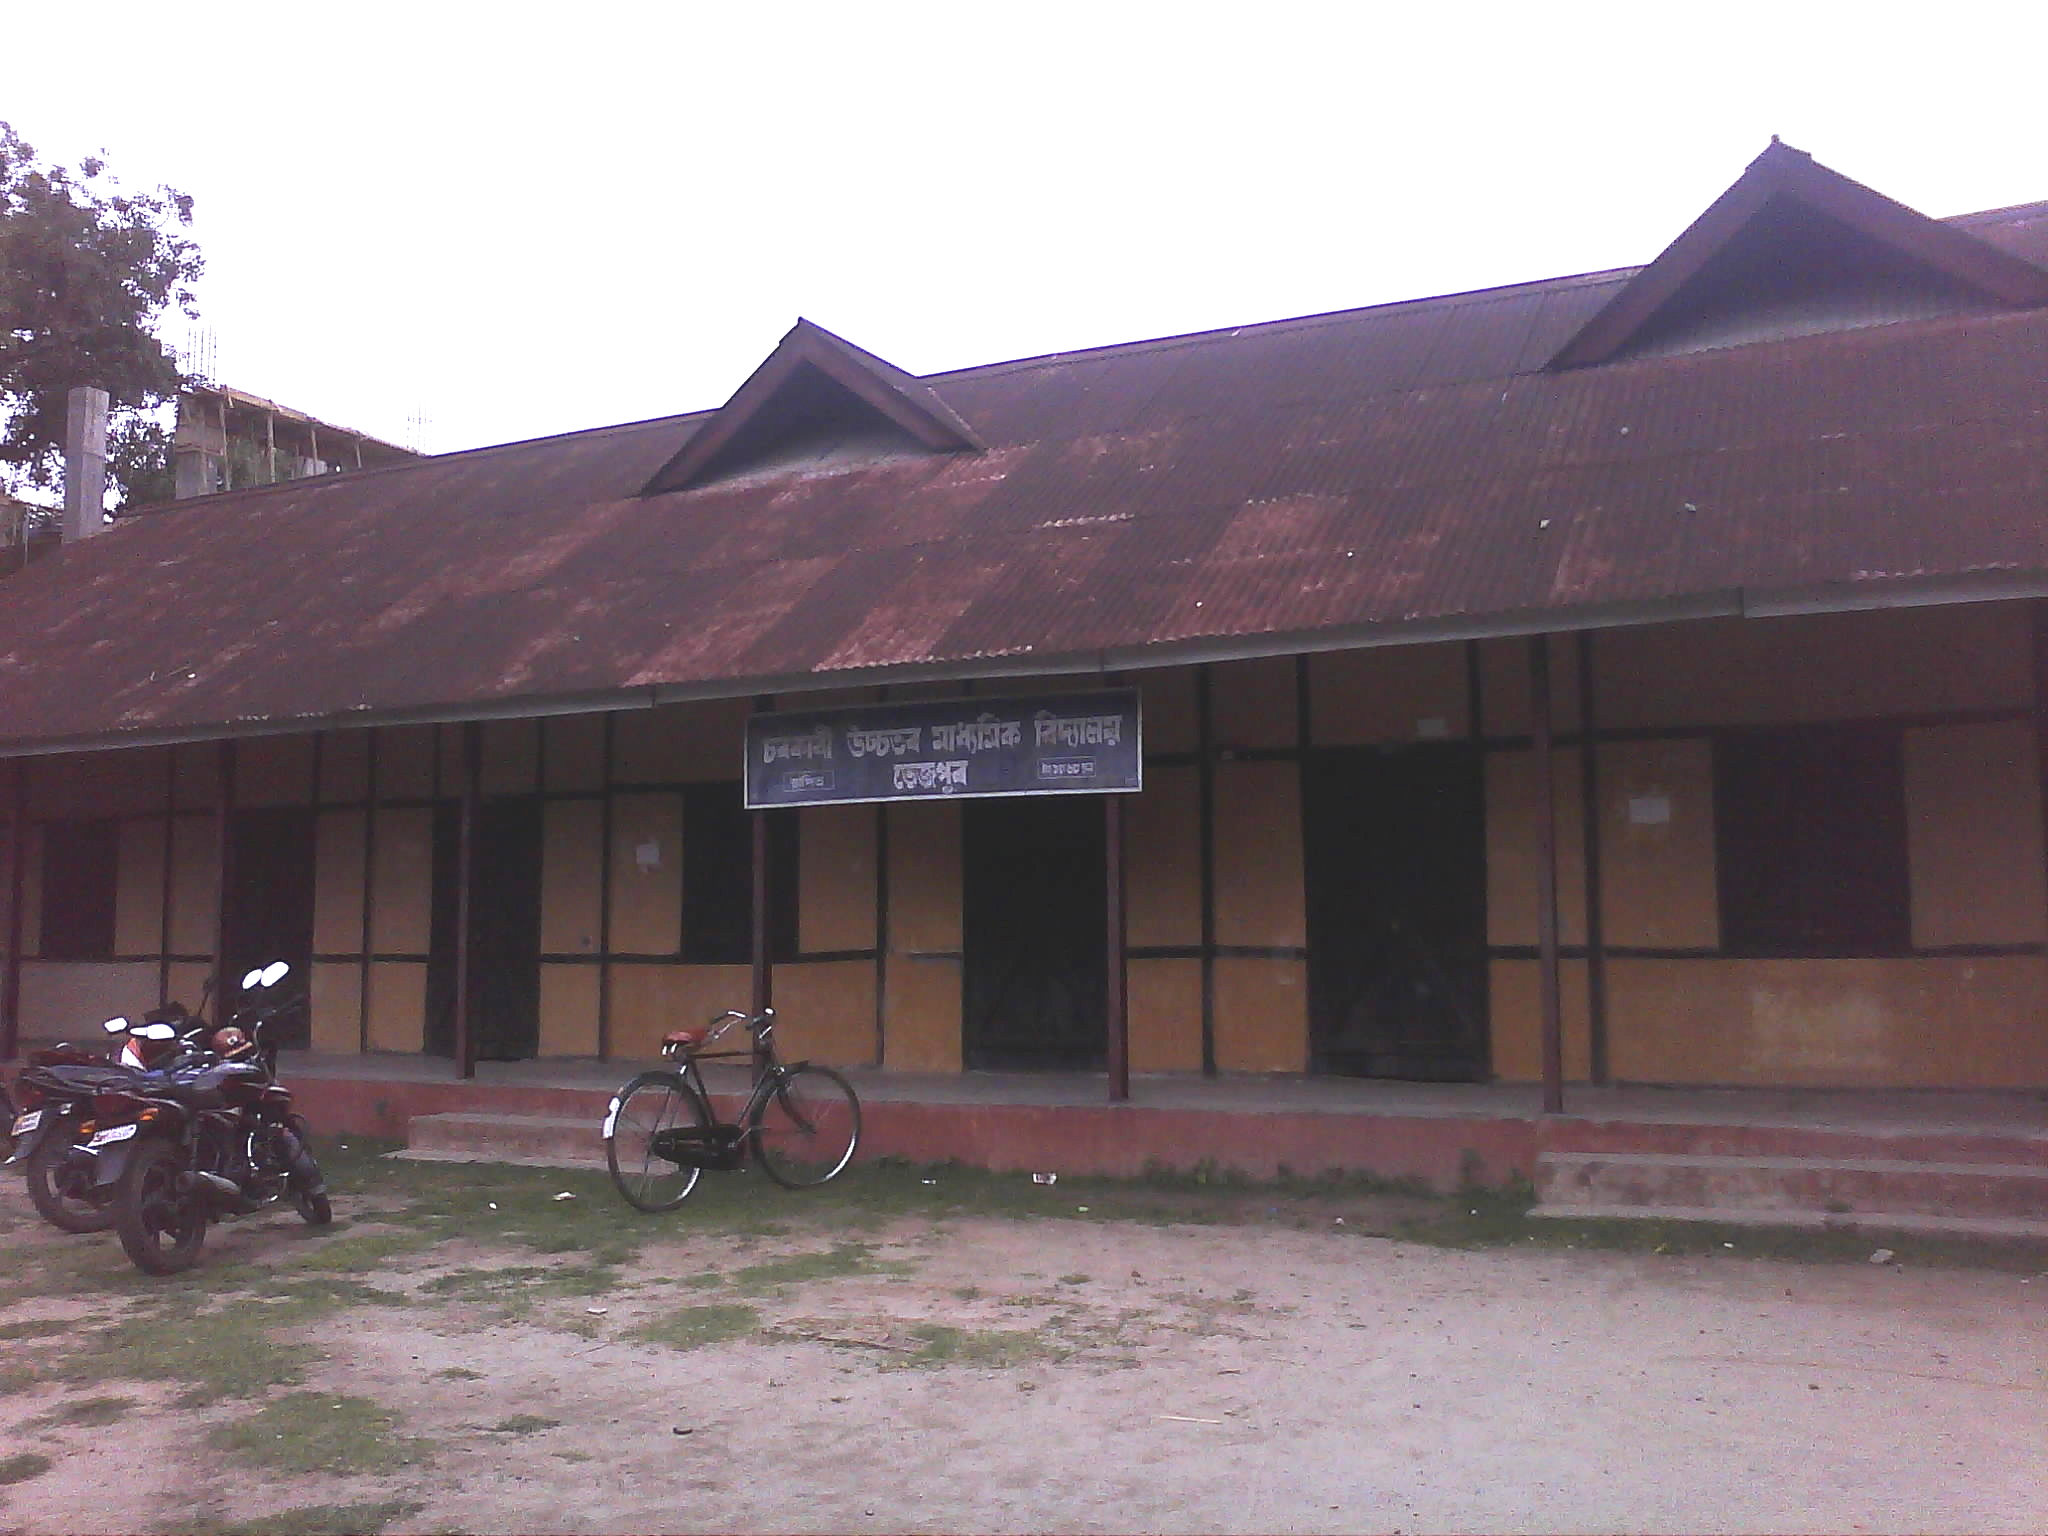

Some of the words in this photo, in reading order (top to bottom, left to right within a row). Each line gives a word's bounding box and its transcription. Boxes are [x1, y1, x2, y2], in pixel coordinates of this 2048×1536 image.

[755, 714, 846, 770] চৰকাৰী
[832, 717, 932, 765] উচ্চতৰ
[921, 705, 1033, 757] মাধ্যমিক
[1015, 705, 1128, 755] বিদ্যালয়
[889, 751, 976, 799] ভেজপুত্র